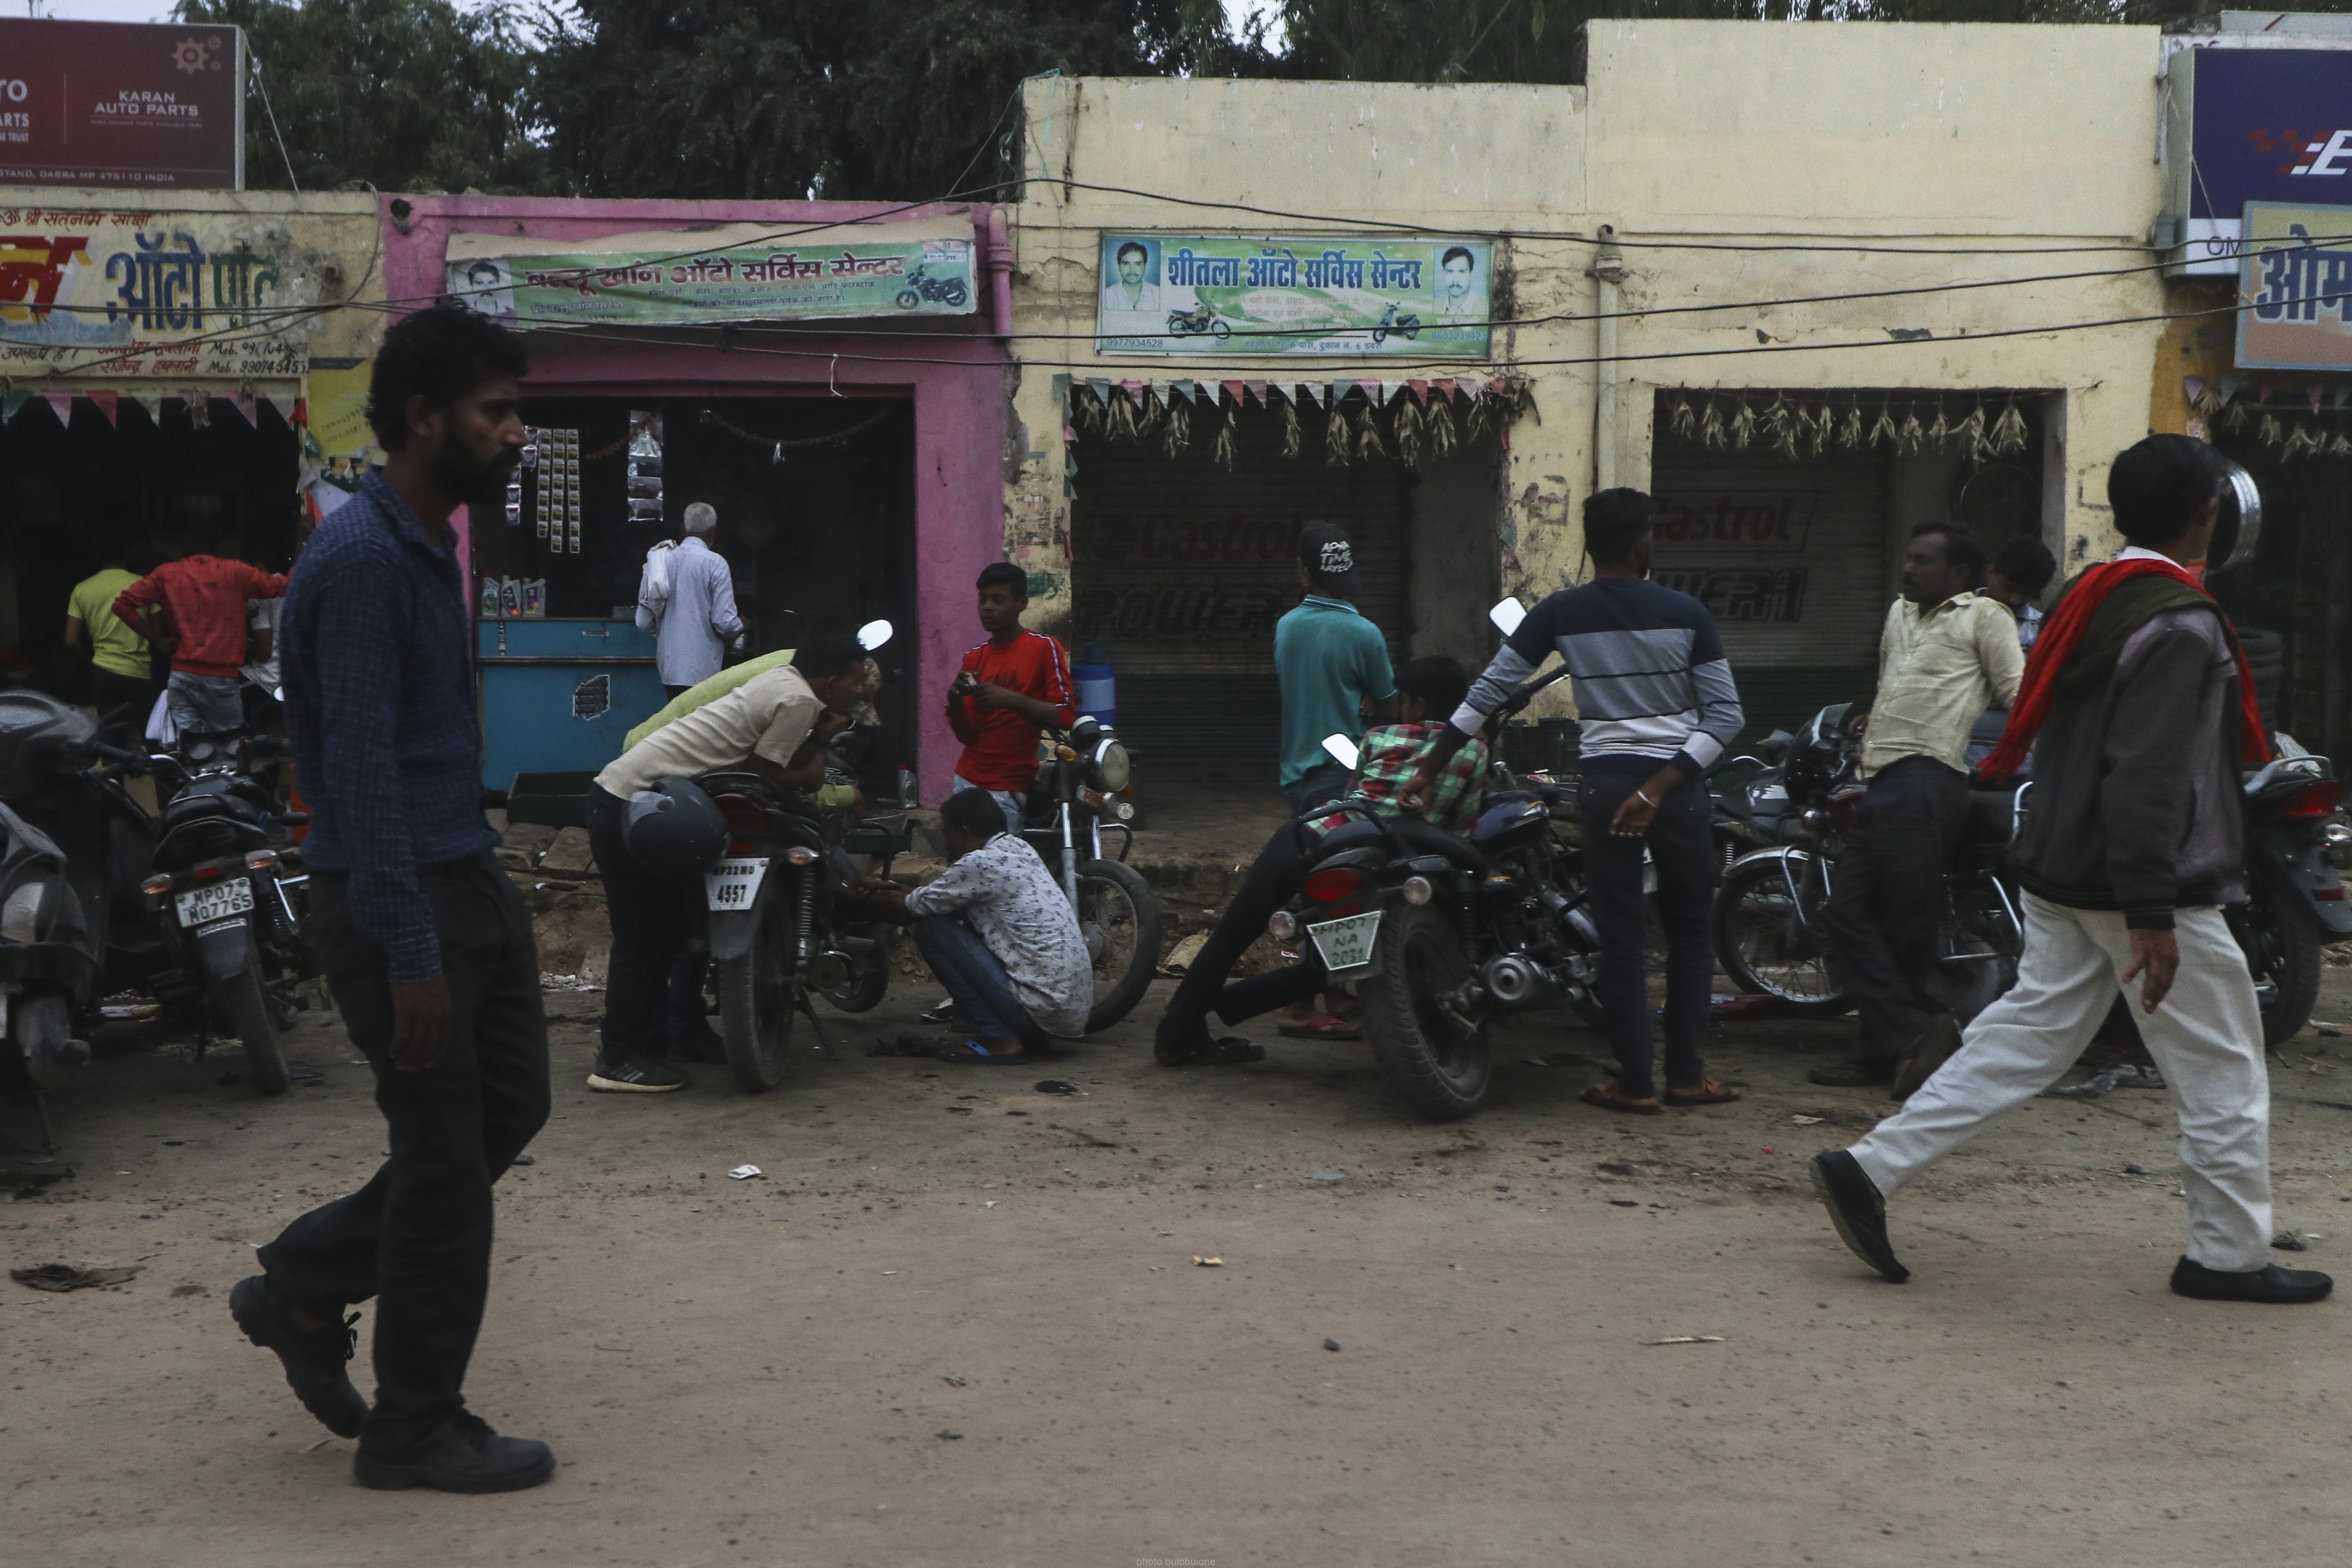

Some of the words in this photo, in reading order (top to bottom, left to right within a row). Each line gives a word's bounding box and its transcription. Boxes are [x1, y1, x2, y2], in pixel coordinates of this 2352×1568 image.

[21, 206, 46, 227] श्री
[43, 210, 107, 232] सत्‌नाम
[110, 211, 153, 231] साक्षी
[0, 234, 89, 316] न
[104, 229, 208, 332] ऑटो
[524, 267, 598, 299] बल्लू
[596, 258, 664, 290] खनि
[666, 288, 684, 299] and
[670, 254, 735, 288] ऑटो
[739, 250, 825, 285] सर्विस
[829, 250, 907, 279] सेन्टर
[1163, 247, 1249, 290] शीतला
[1245, 247, 1301, 290] ऑटो
[1301, 247, 1366, 291] सर्विस
[1369, 248, 1423, 291] सेन्टर
[544, 302, 575, 316] बल्लू
[0, 345, 51, 368] उपलब्ध
[100, 356, 143, 374] राजेन्द्र
[149, 355, 200, 377] हबलानी
[1317, 341, 1342, 353] दुकान
[1364, 340, 1384, 351] डबरी